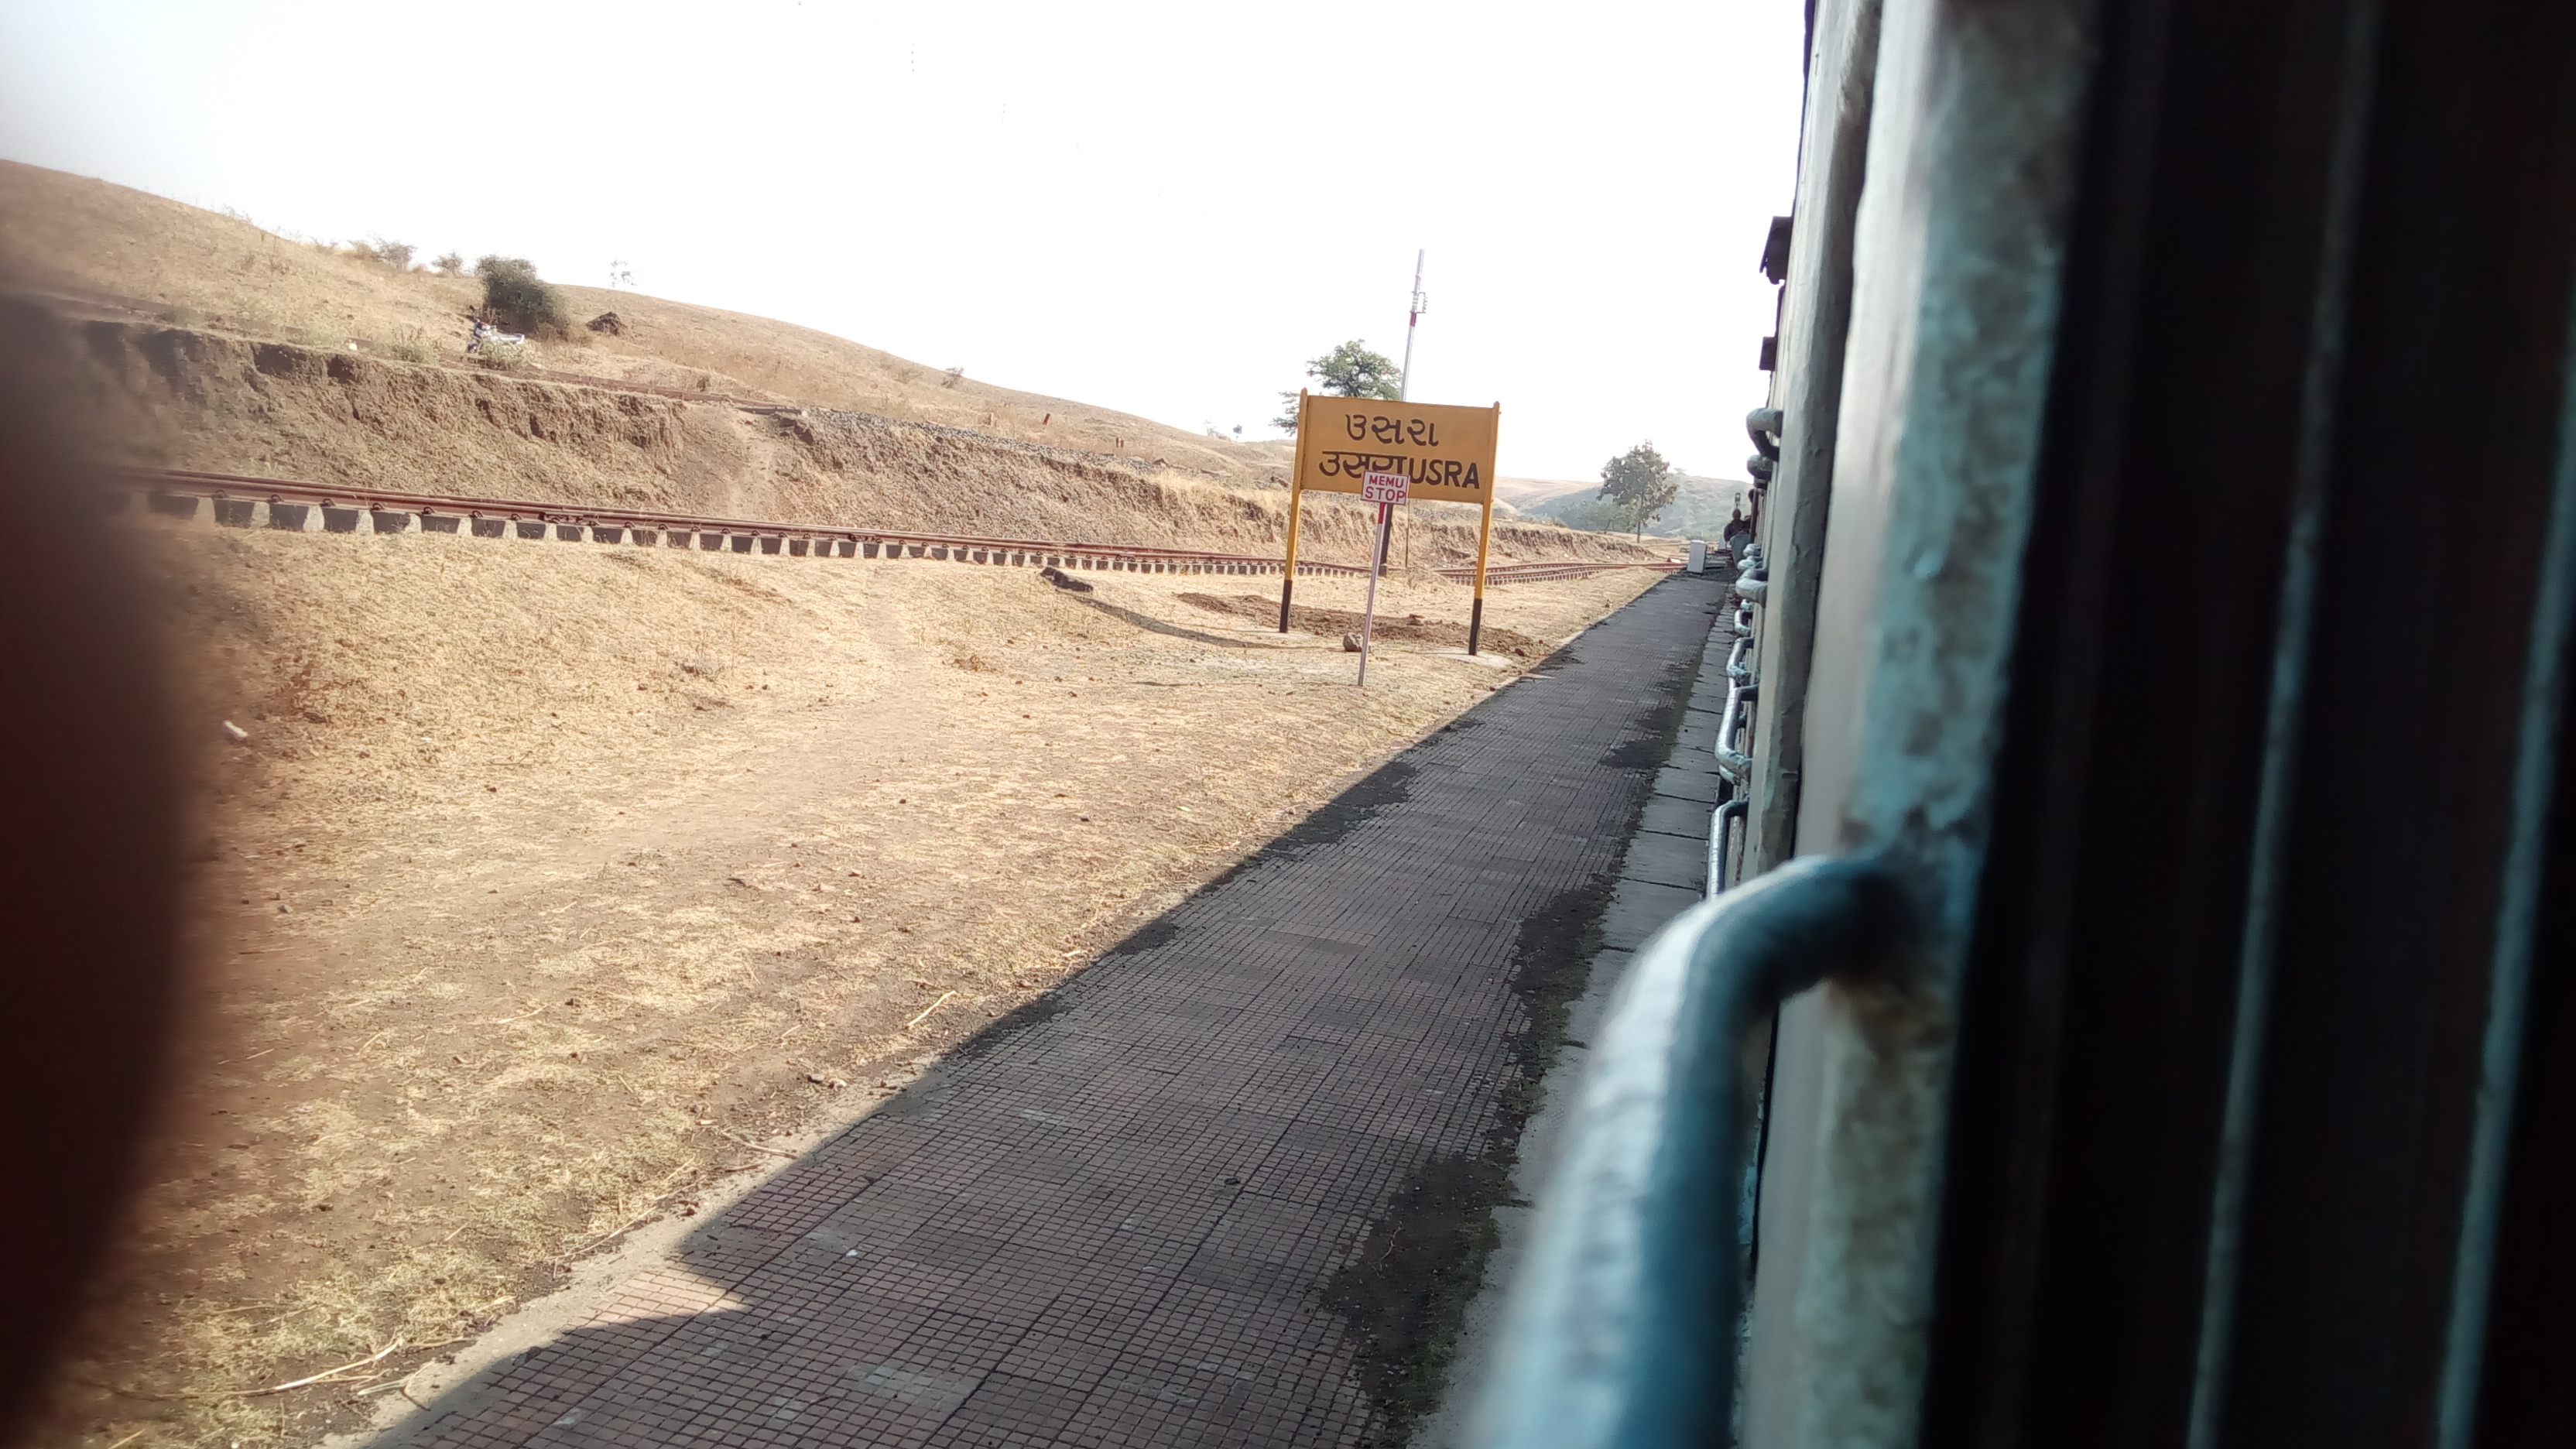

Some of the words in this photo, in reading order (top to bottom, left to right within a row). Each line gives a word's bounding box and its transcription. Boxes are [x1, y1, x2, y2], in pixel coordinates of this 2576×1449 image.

[1333, 406, 1447, 452] ઉસરા
[1316, 446, 1410, 479] उसरा
[1362, 485, 1406, 502] STOP
[1365, 473, 1406, 488] MEMU
[1406, 454, 1486, 488] USRA